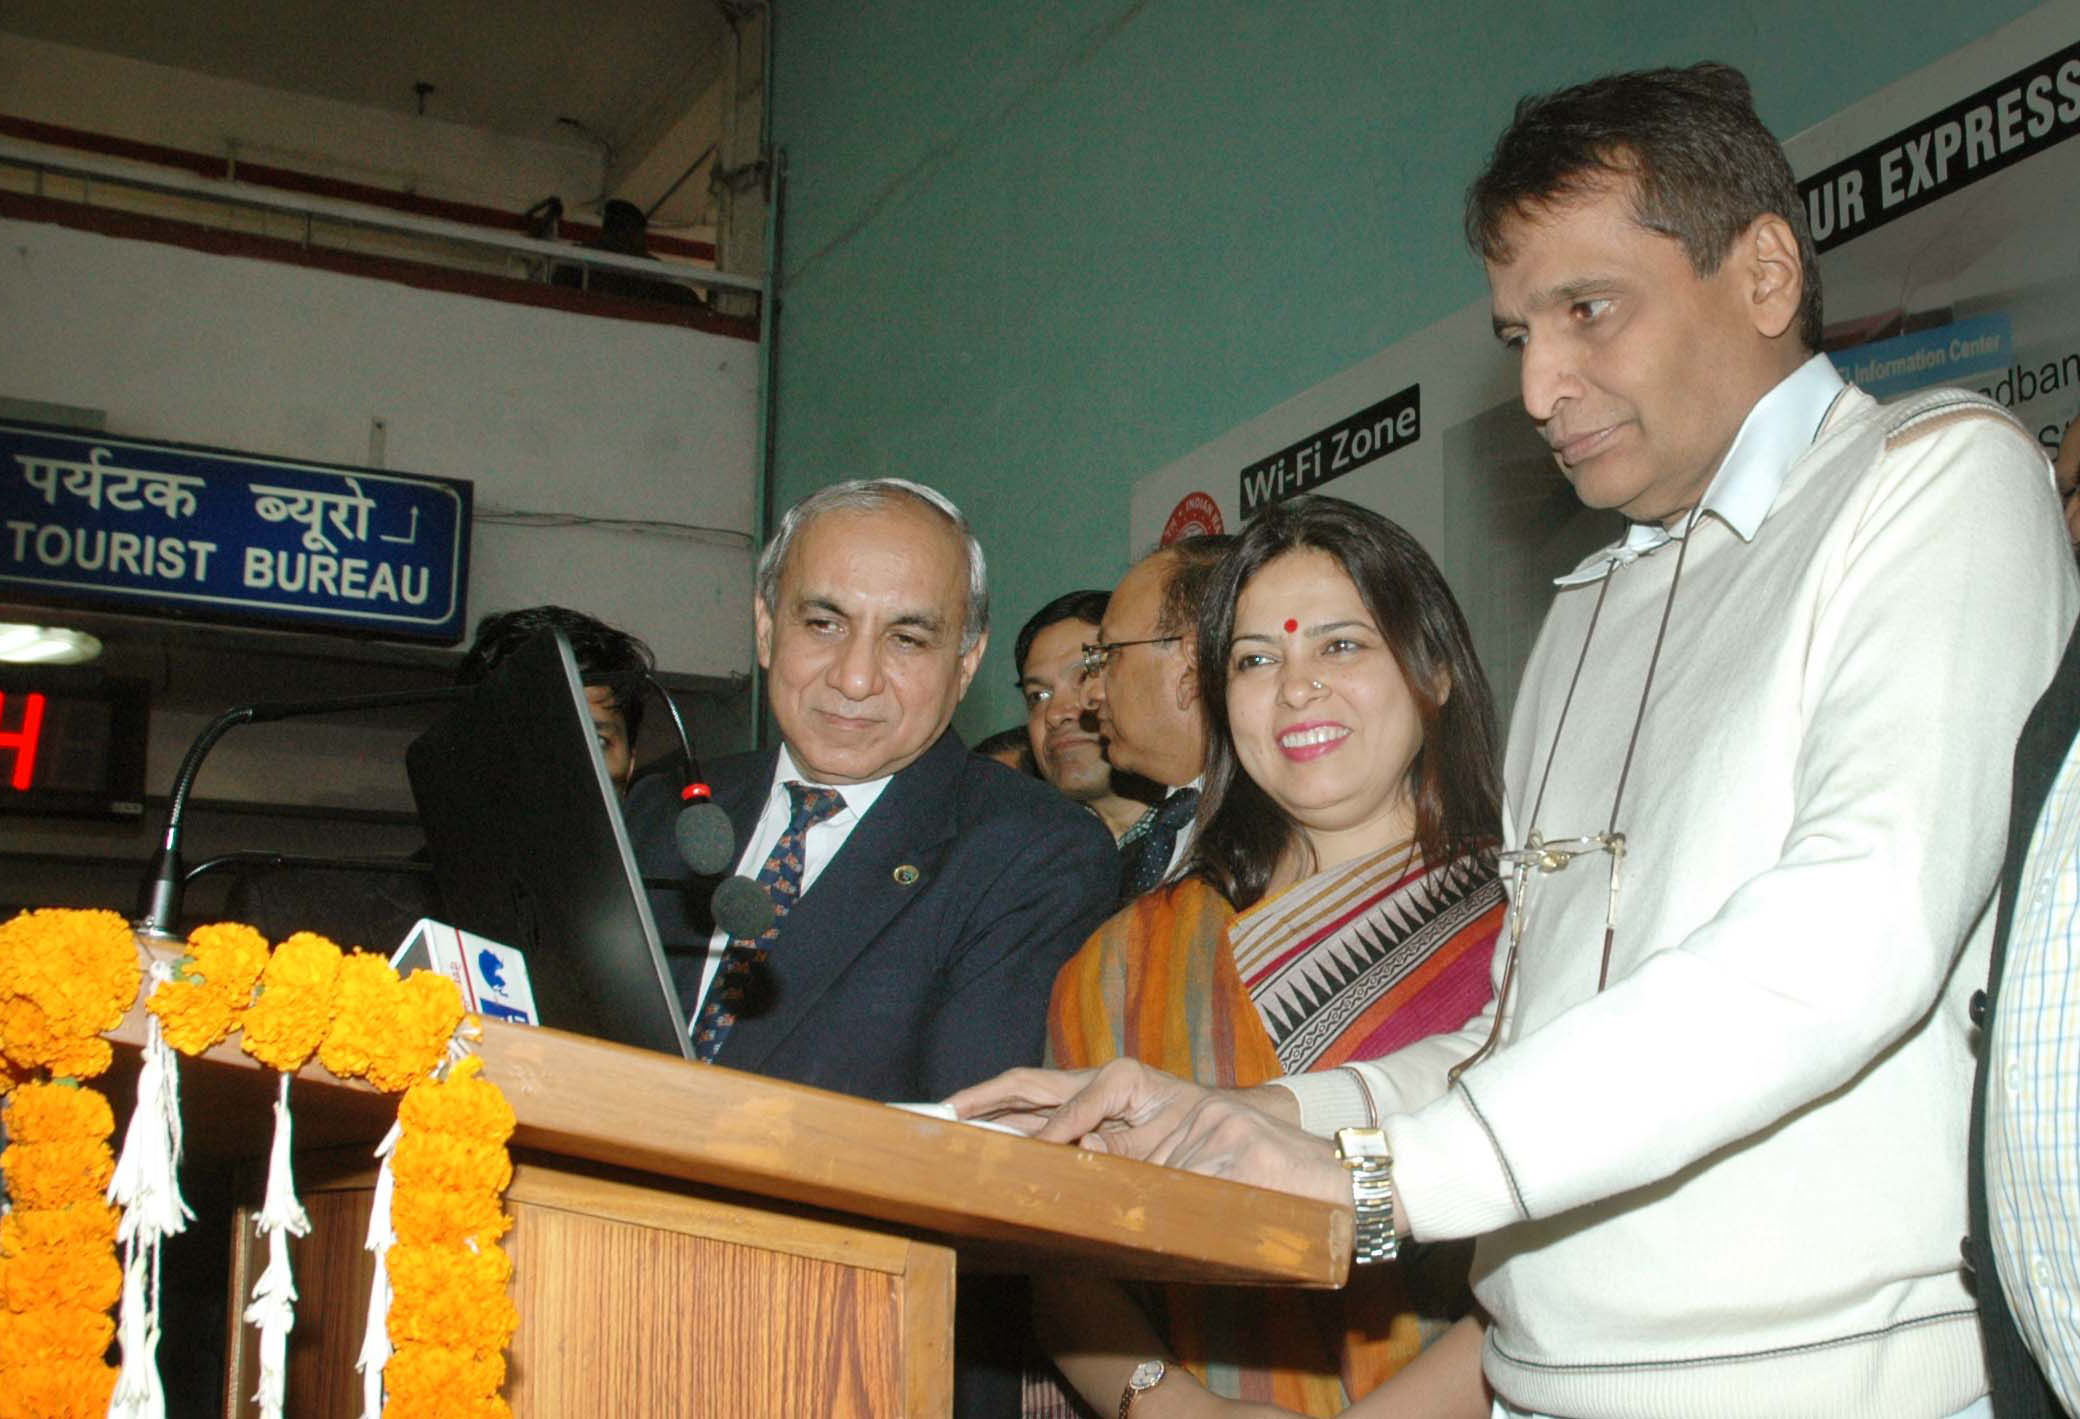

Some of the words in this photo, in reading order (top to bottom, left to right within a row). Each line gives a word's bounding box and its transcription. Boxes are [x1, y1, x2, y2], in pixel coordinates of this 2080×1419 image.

[1875, 56, 2077, 219] EXPRESS
[1800, 164, 1873, 249] UR
[13, 441, 208, 529] पर्यटक
[9, 518, 220, 585] TOURIST
[249, 471, 378, 564] ब्यूरो
[239, 545, 432, 609] BUREAU
[1242, 434, 1325, 515] Wi-Fi
[1327, 399, 1427, 477] Zone